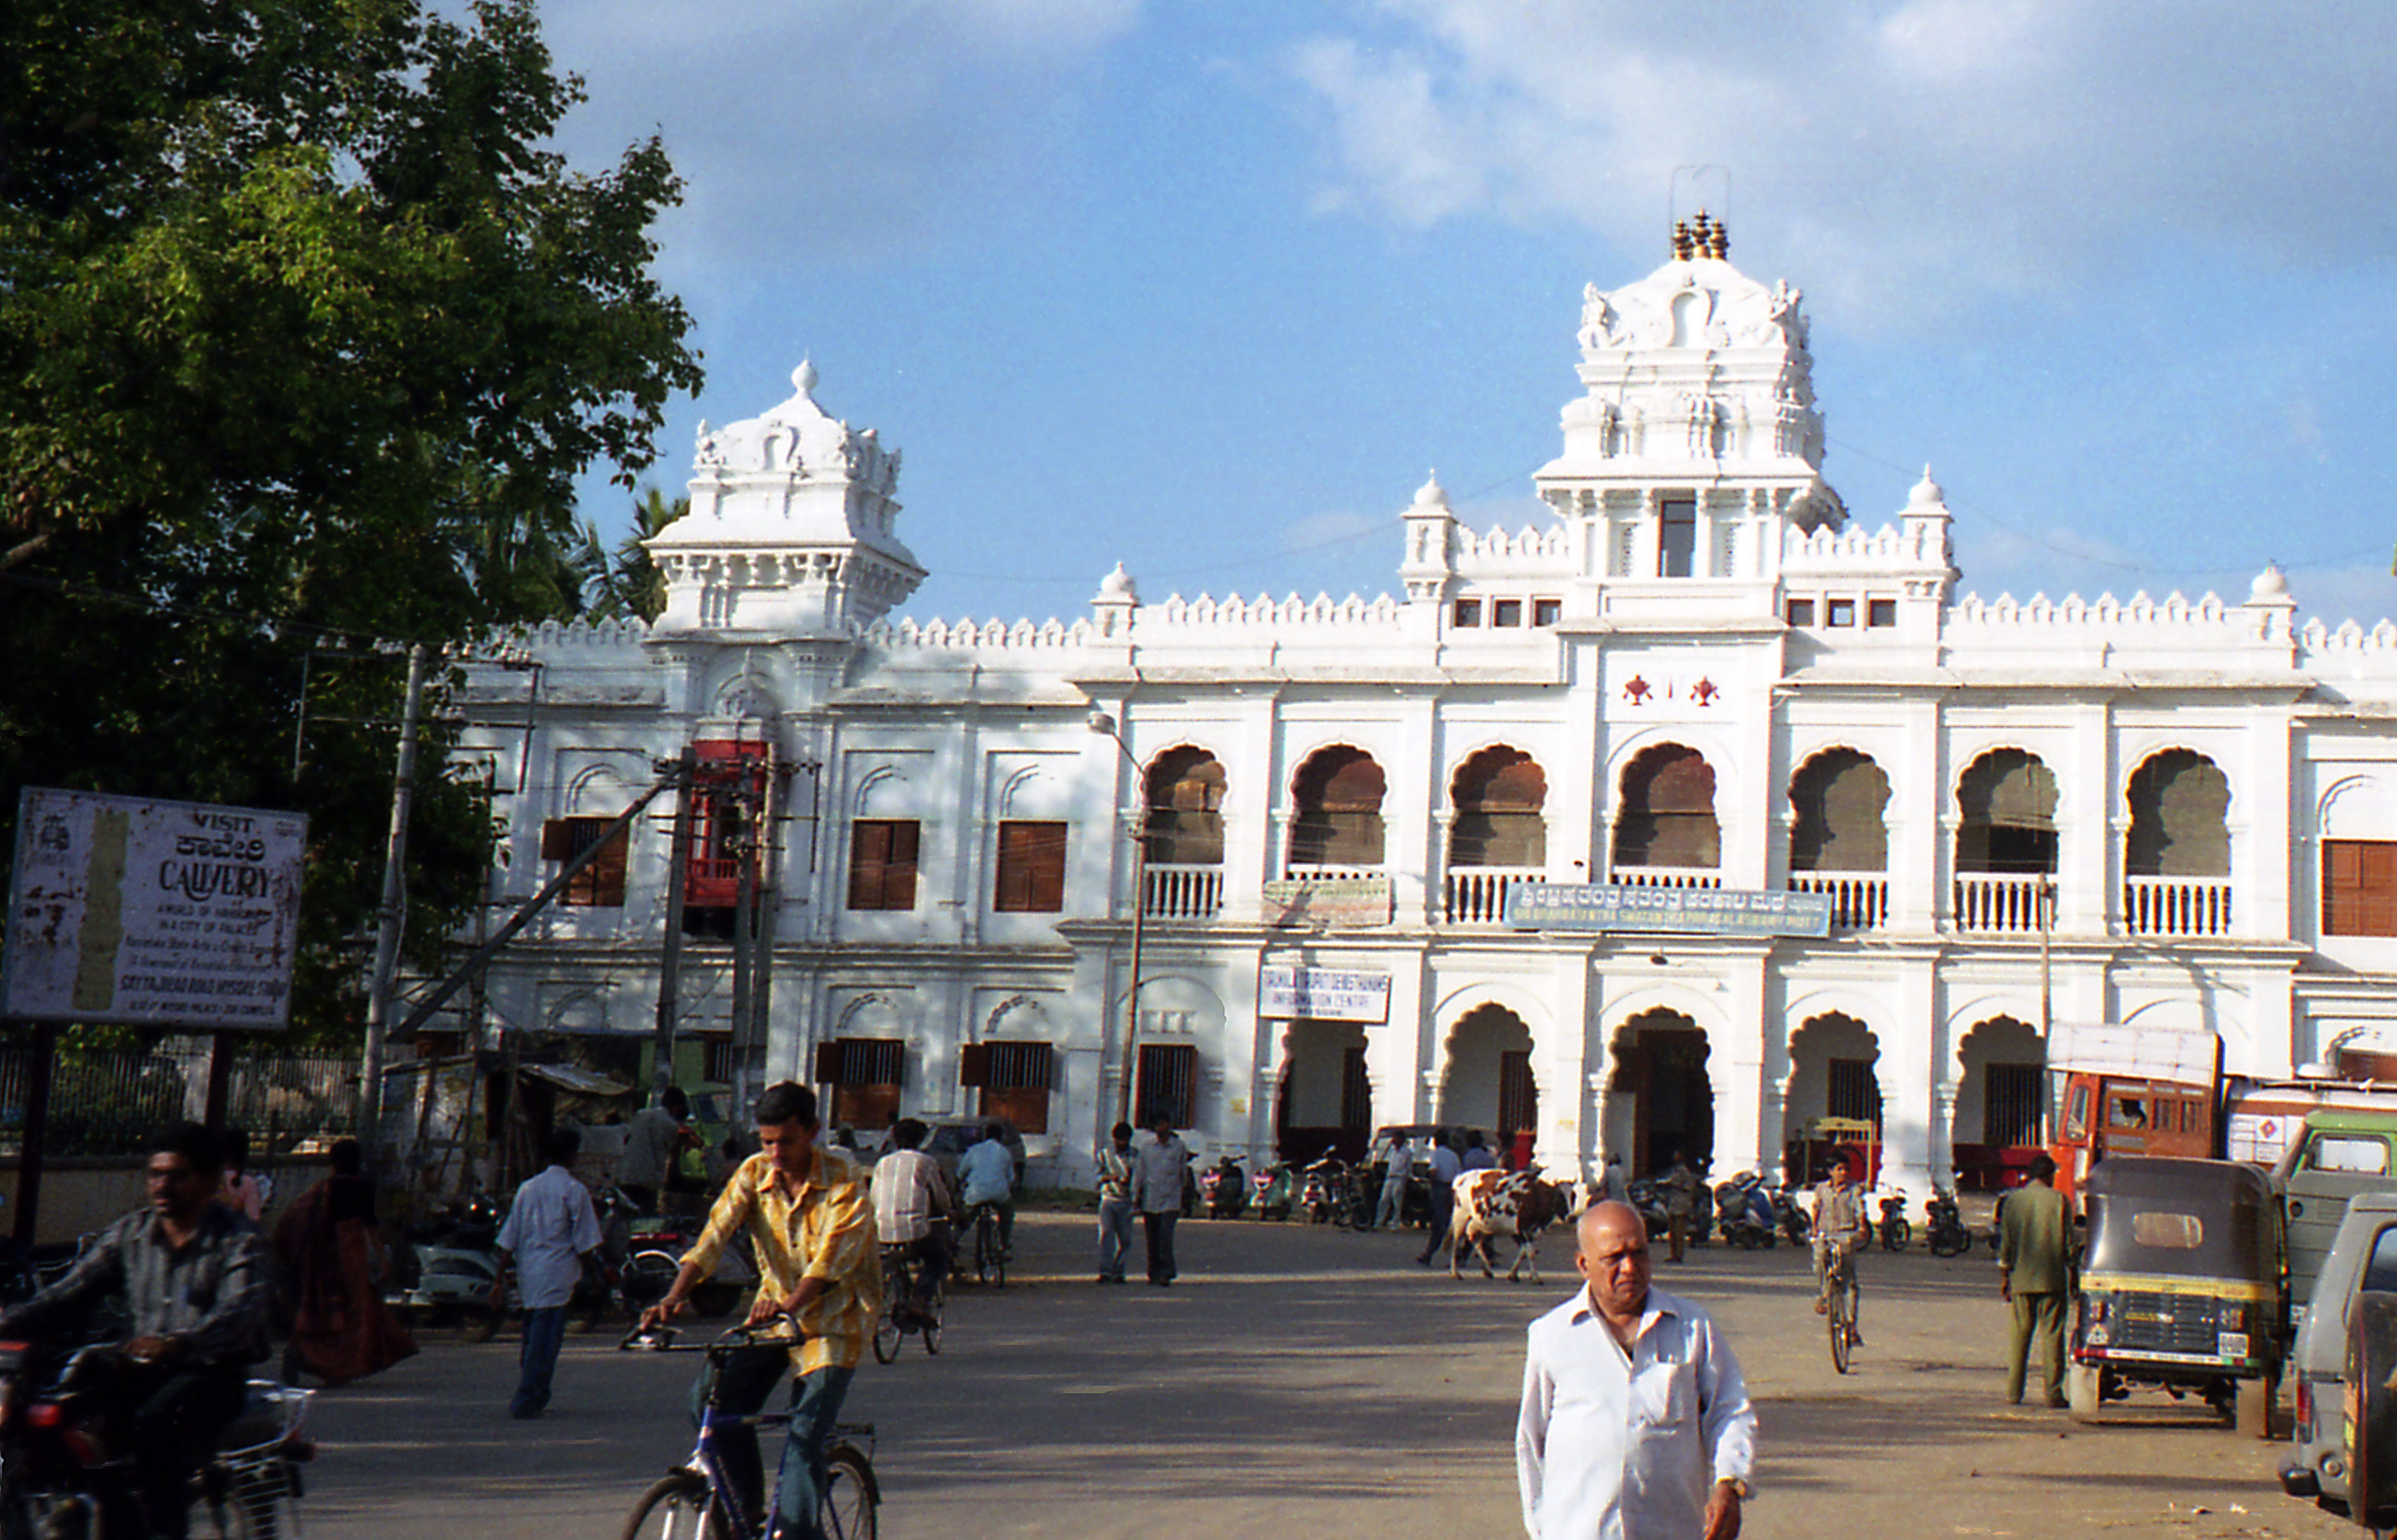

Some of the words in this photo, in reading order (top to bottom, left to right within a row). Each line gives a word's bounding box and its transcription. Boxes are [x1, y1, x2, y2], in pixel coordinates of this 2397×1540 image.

[186, 808, 259, 841] VISIT
[167, 830, 272, 866] ಕಾವೇರಿ
[150, 851, 279, 907] CAUVERY
[1513, 875, 1628, 912] ಶ್ರೀಟ್ರಪದಂತೆ್ರ್ರ